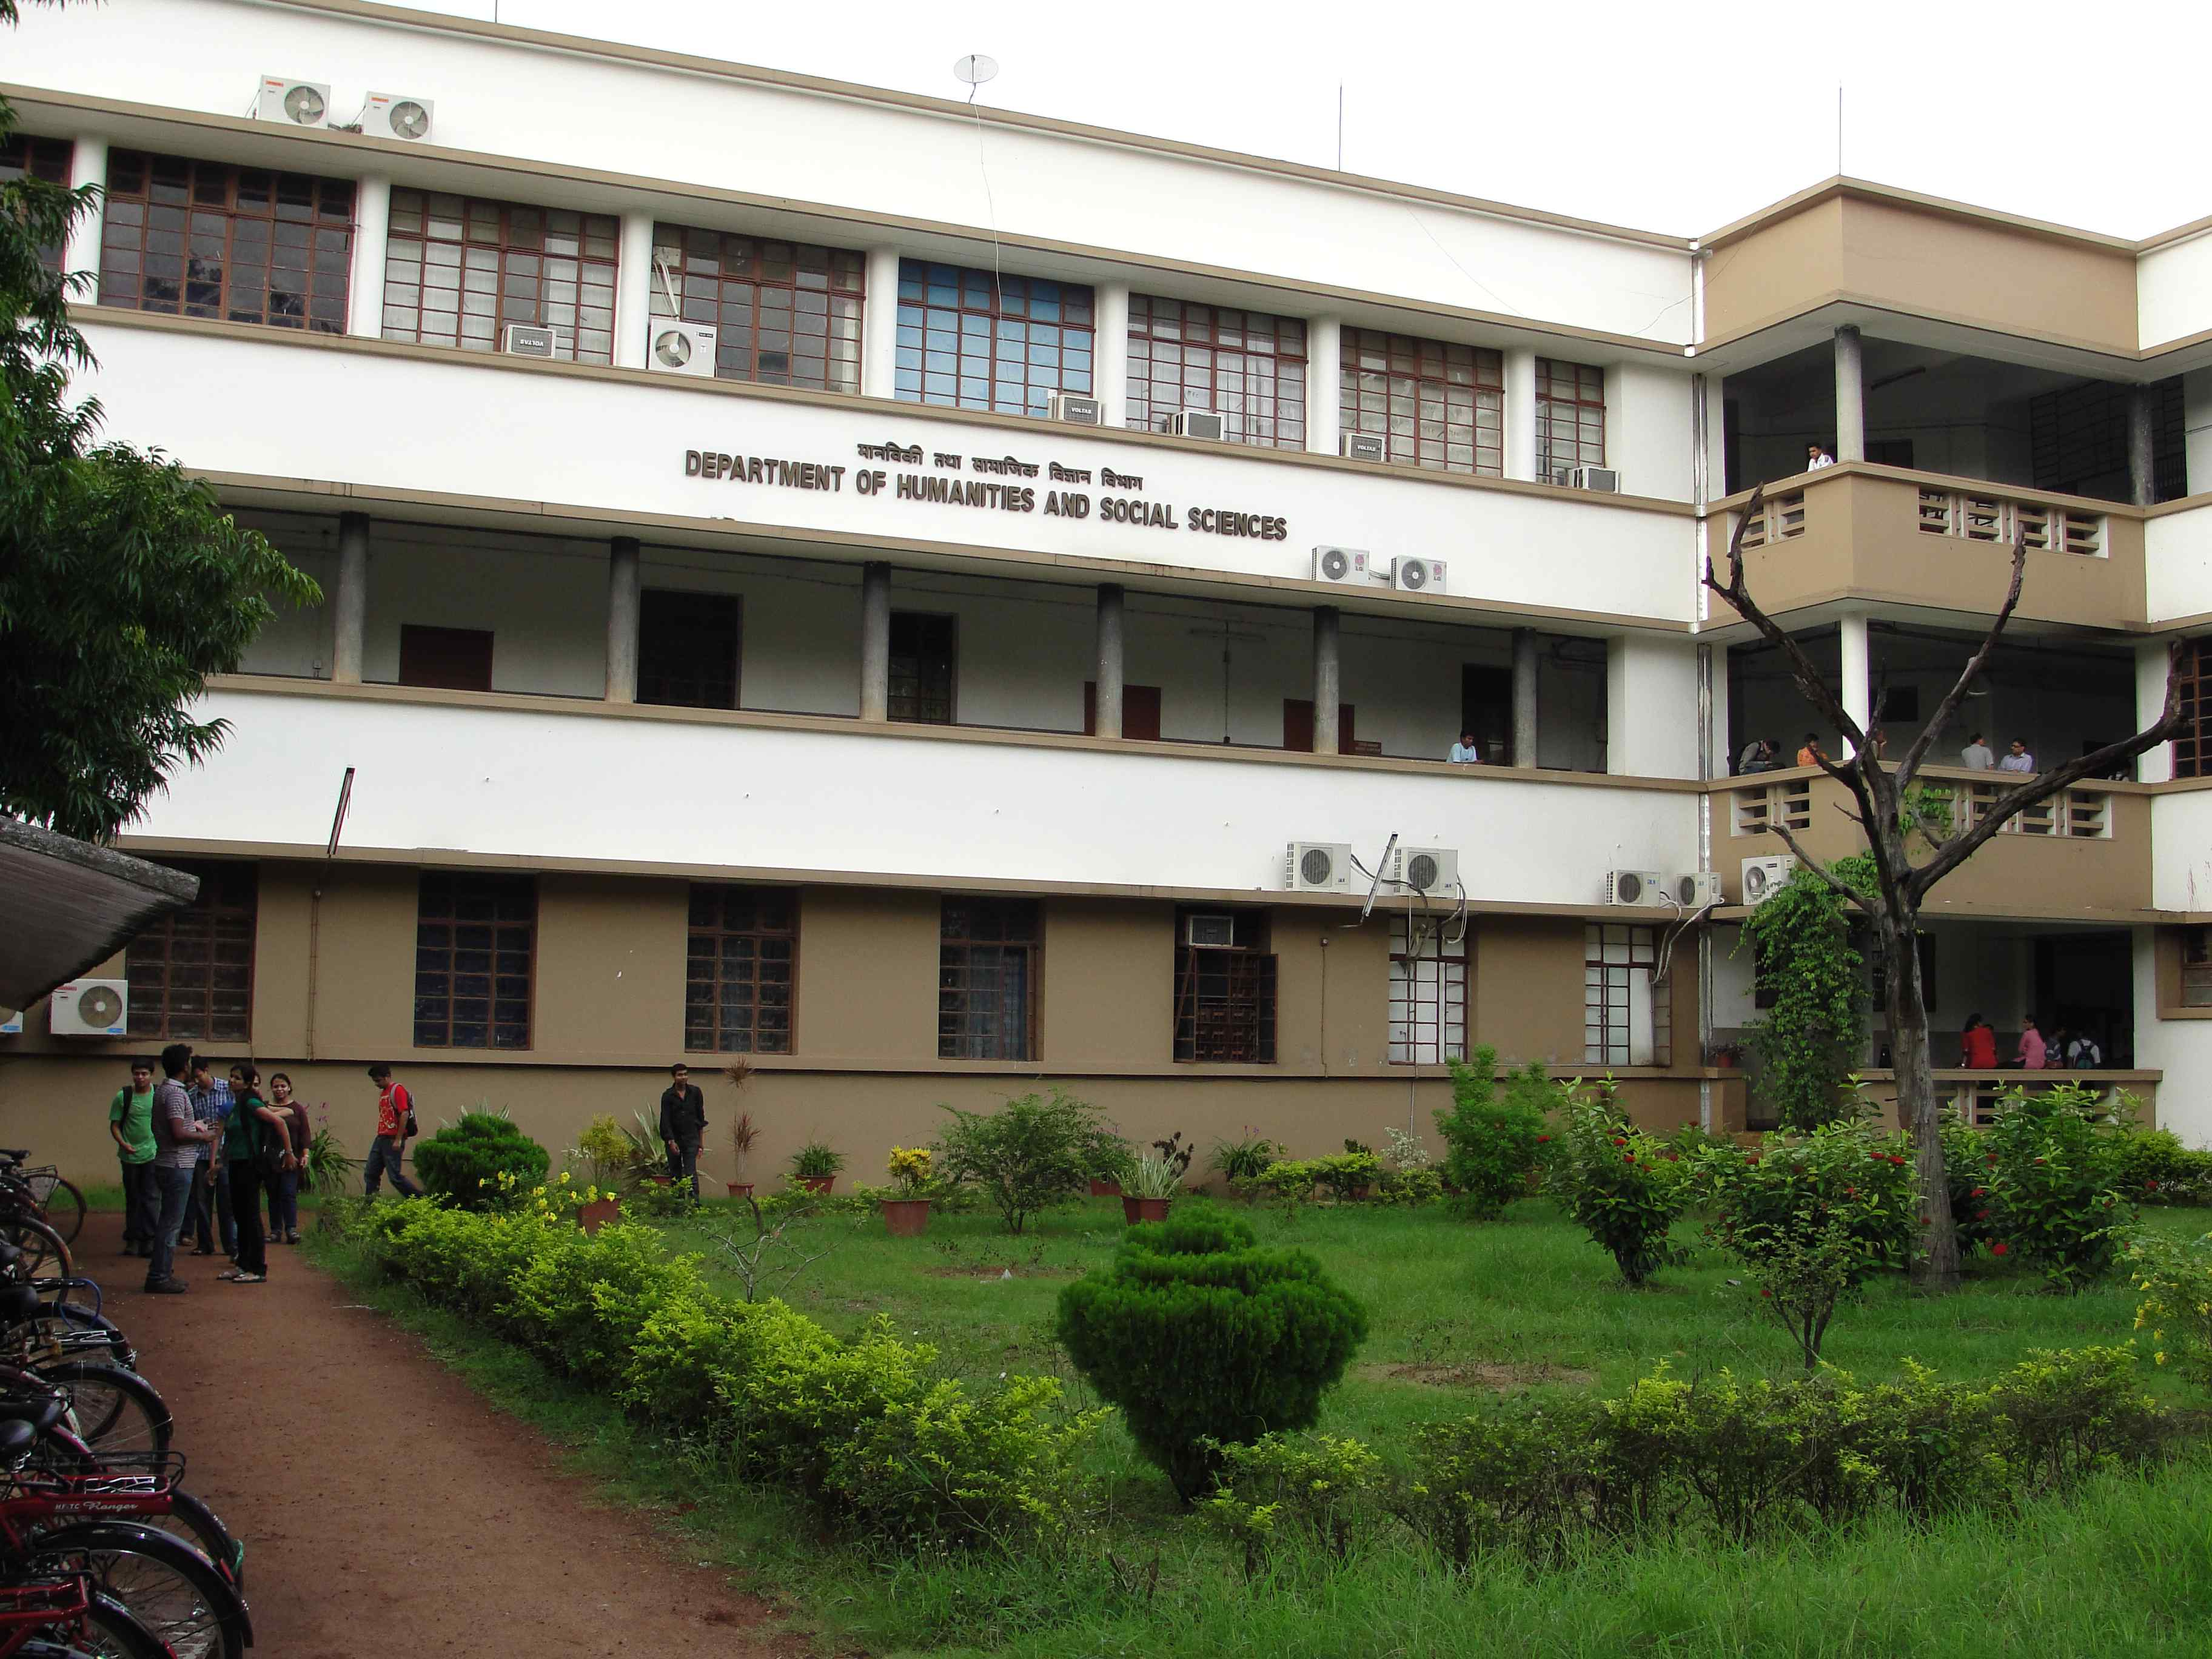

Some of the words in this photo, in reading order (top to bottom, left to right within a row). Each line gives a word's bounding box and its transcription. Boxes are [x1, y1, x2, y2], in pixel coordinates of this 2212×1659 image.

[683, 446, 849, 494] DEPARTMENT
[852, 465, 891, 498] OF
[856, 436, 925, 466] मानविकी
[933, 450, 964, 472] तथा
[895, 472, 1037, 517] HUMANITIES
[971, 452, 1042, 478] सामाजिक
[1042, 489, 1094, 521] AND
[1046, 458, 1094, 488] विज्ञान
[1096, 463, 1145, 492] विभाग
[1099, 494, 1178, 531] SOCIAL
[1187, 503, 1289, 543] SCIENCES